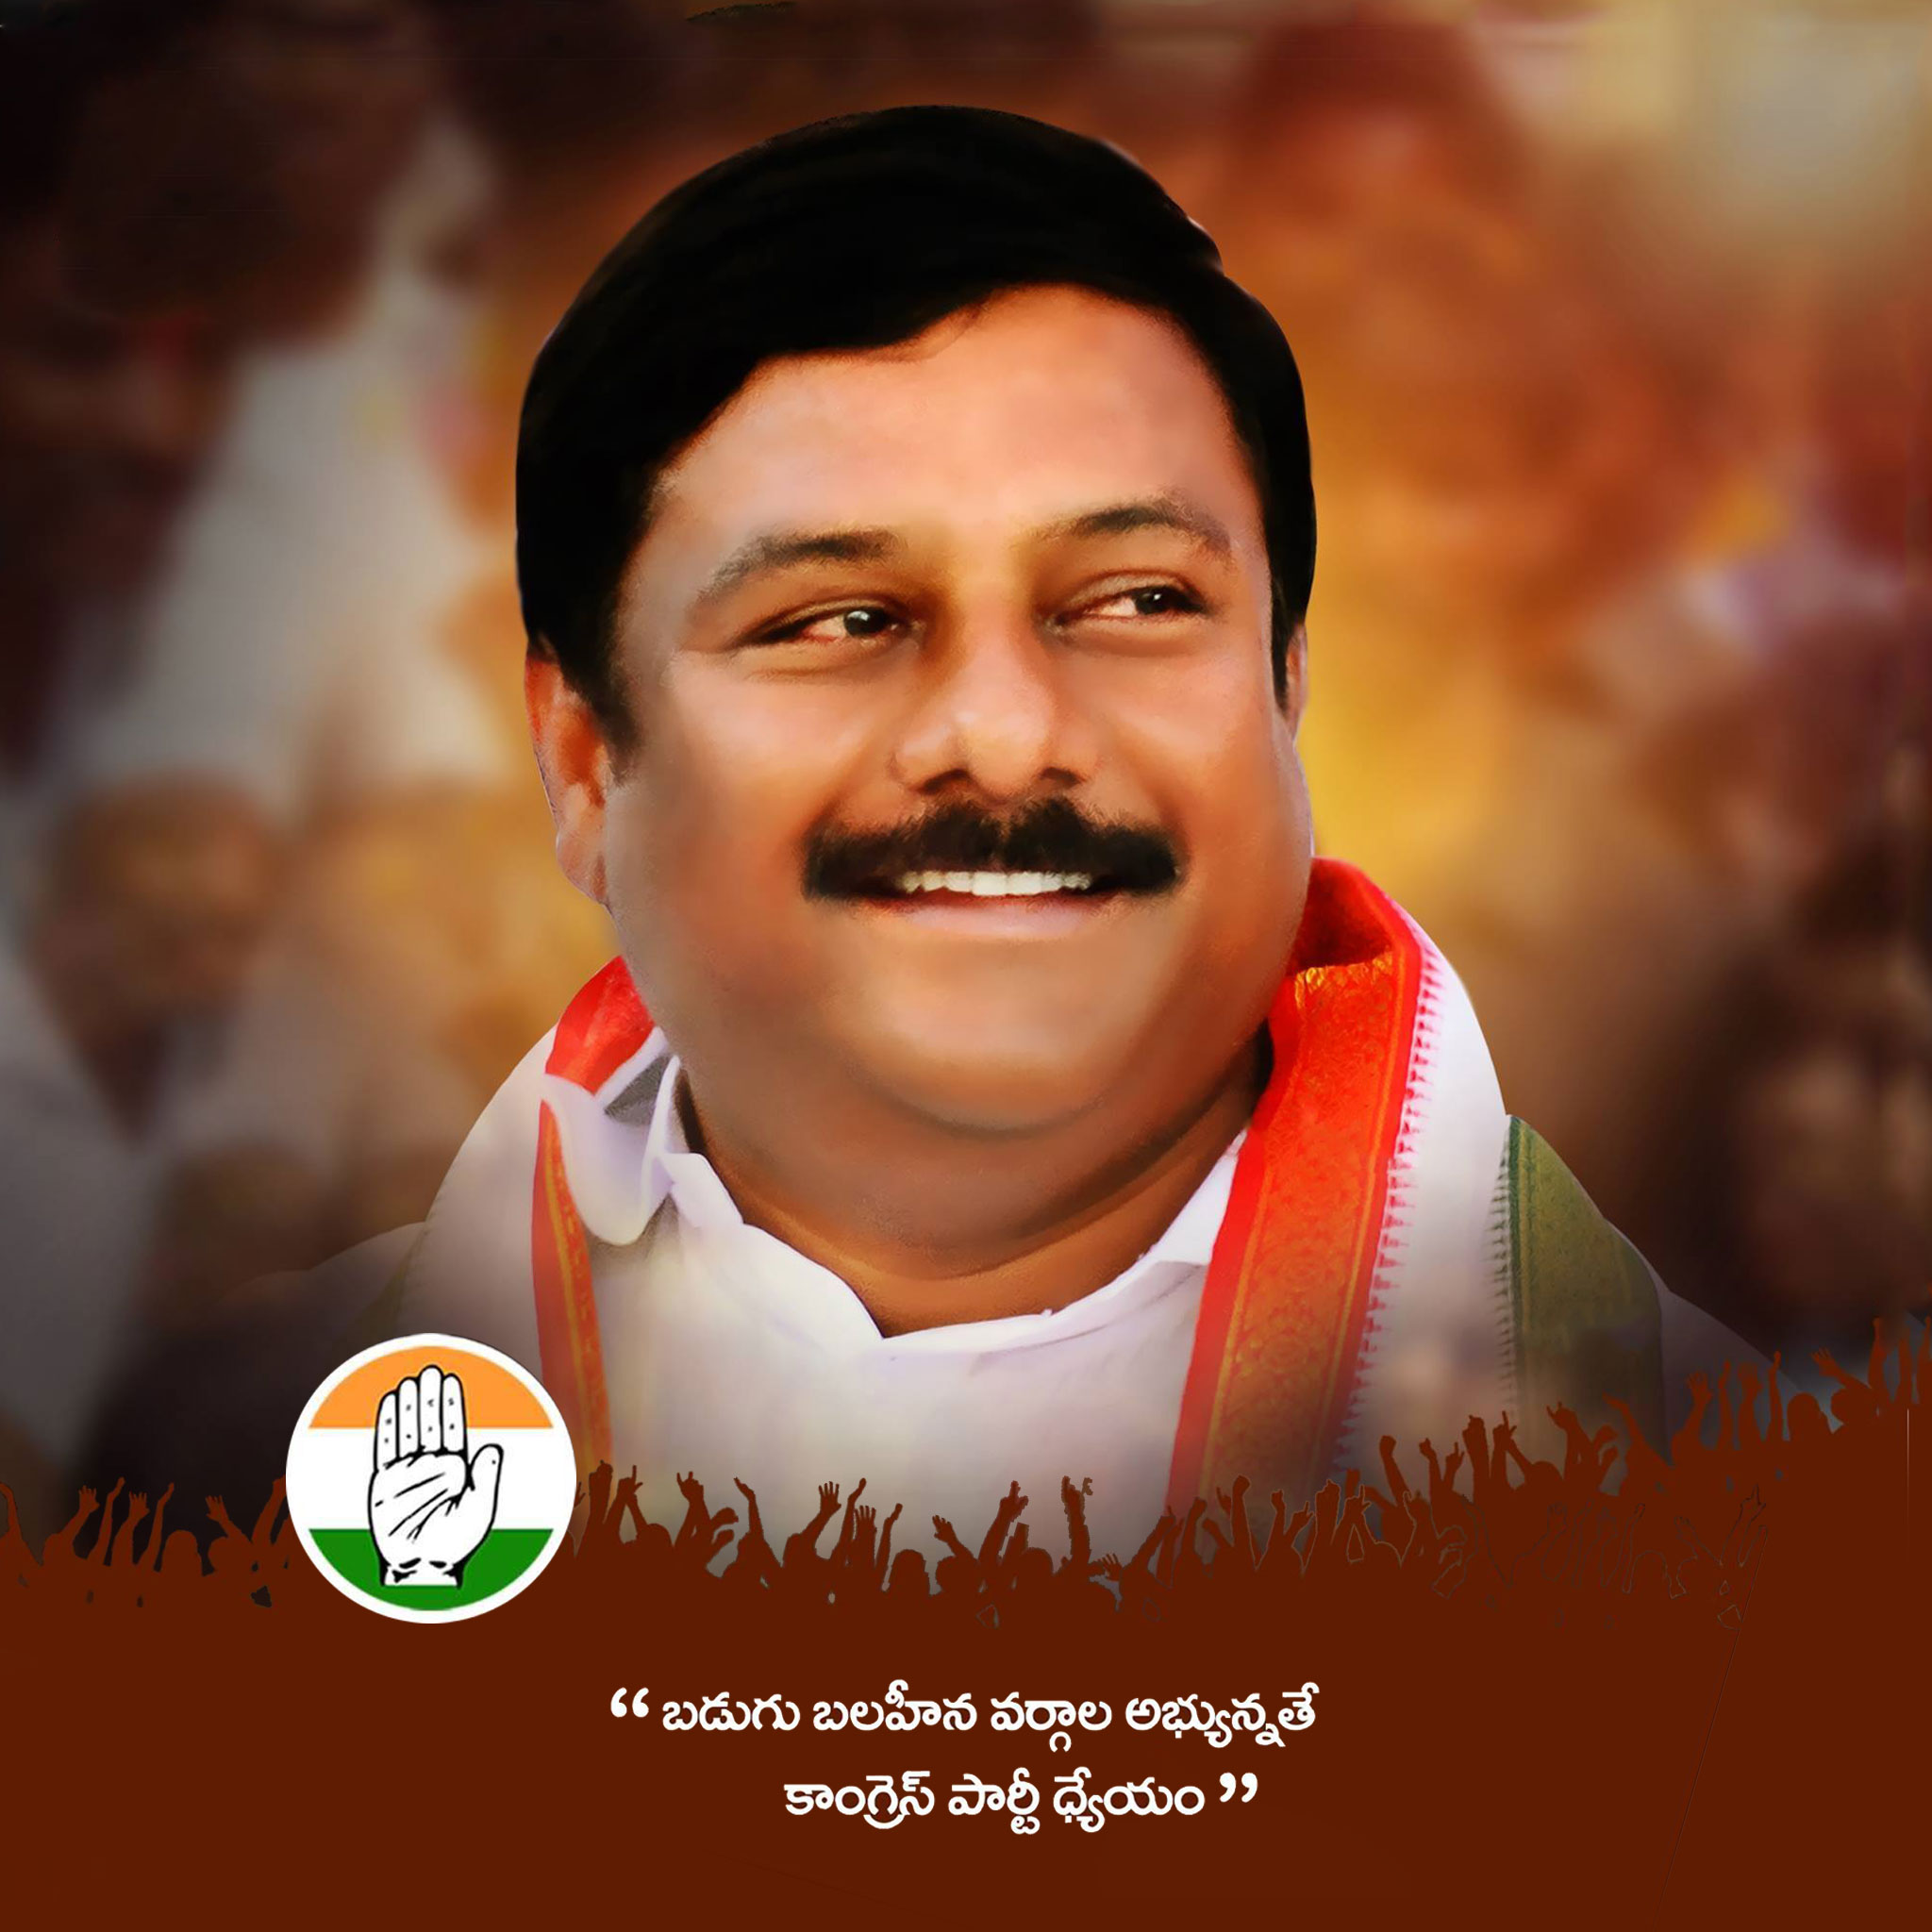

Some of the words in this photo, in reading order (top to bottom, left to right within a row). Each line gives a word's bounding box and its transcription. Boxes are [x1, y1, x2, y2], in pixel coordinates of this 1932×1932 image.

[657, 1676, 807, 1737] బడుగు
[806, 1670, 983, 1738] బలహీన
[980, 1685, 1119, 1757] వర్గాల
[1120, 1675, 1321, 1755] అభ్యున్నతే
[780, 1765, 940, 1838] కాంగ్రెస్
[941, 1761, 1047, 1837] పార్టీ
[1047, 1758, 1214, 1839] ధ్యేయం